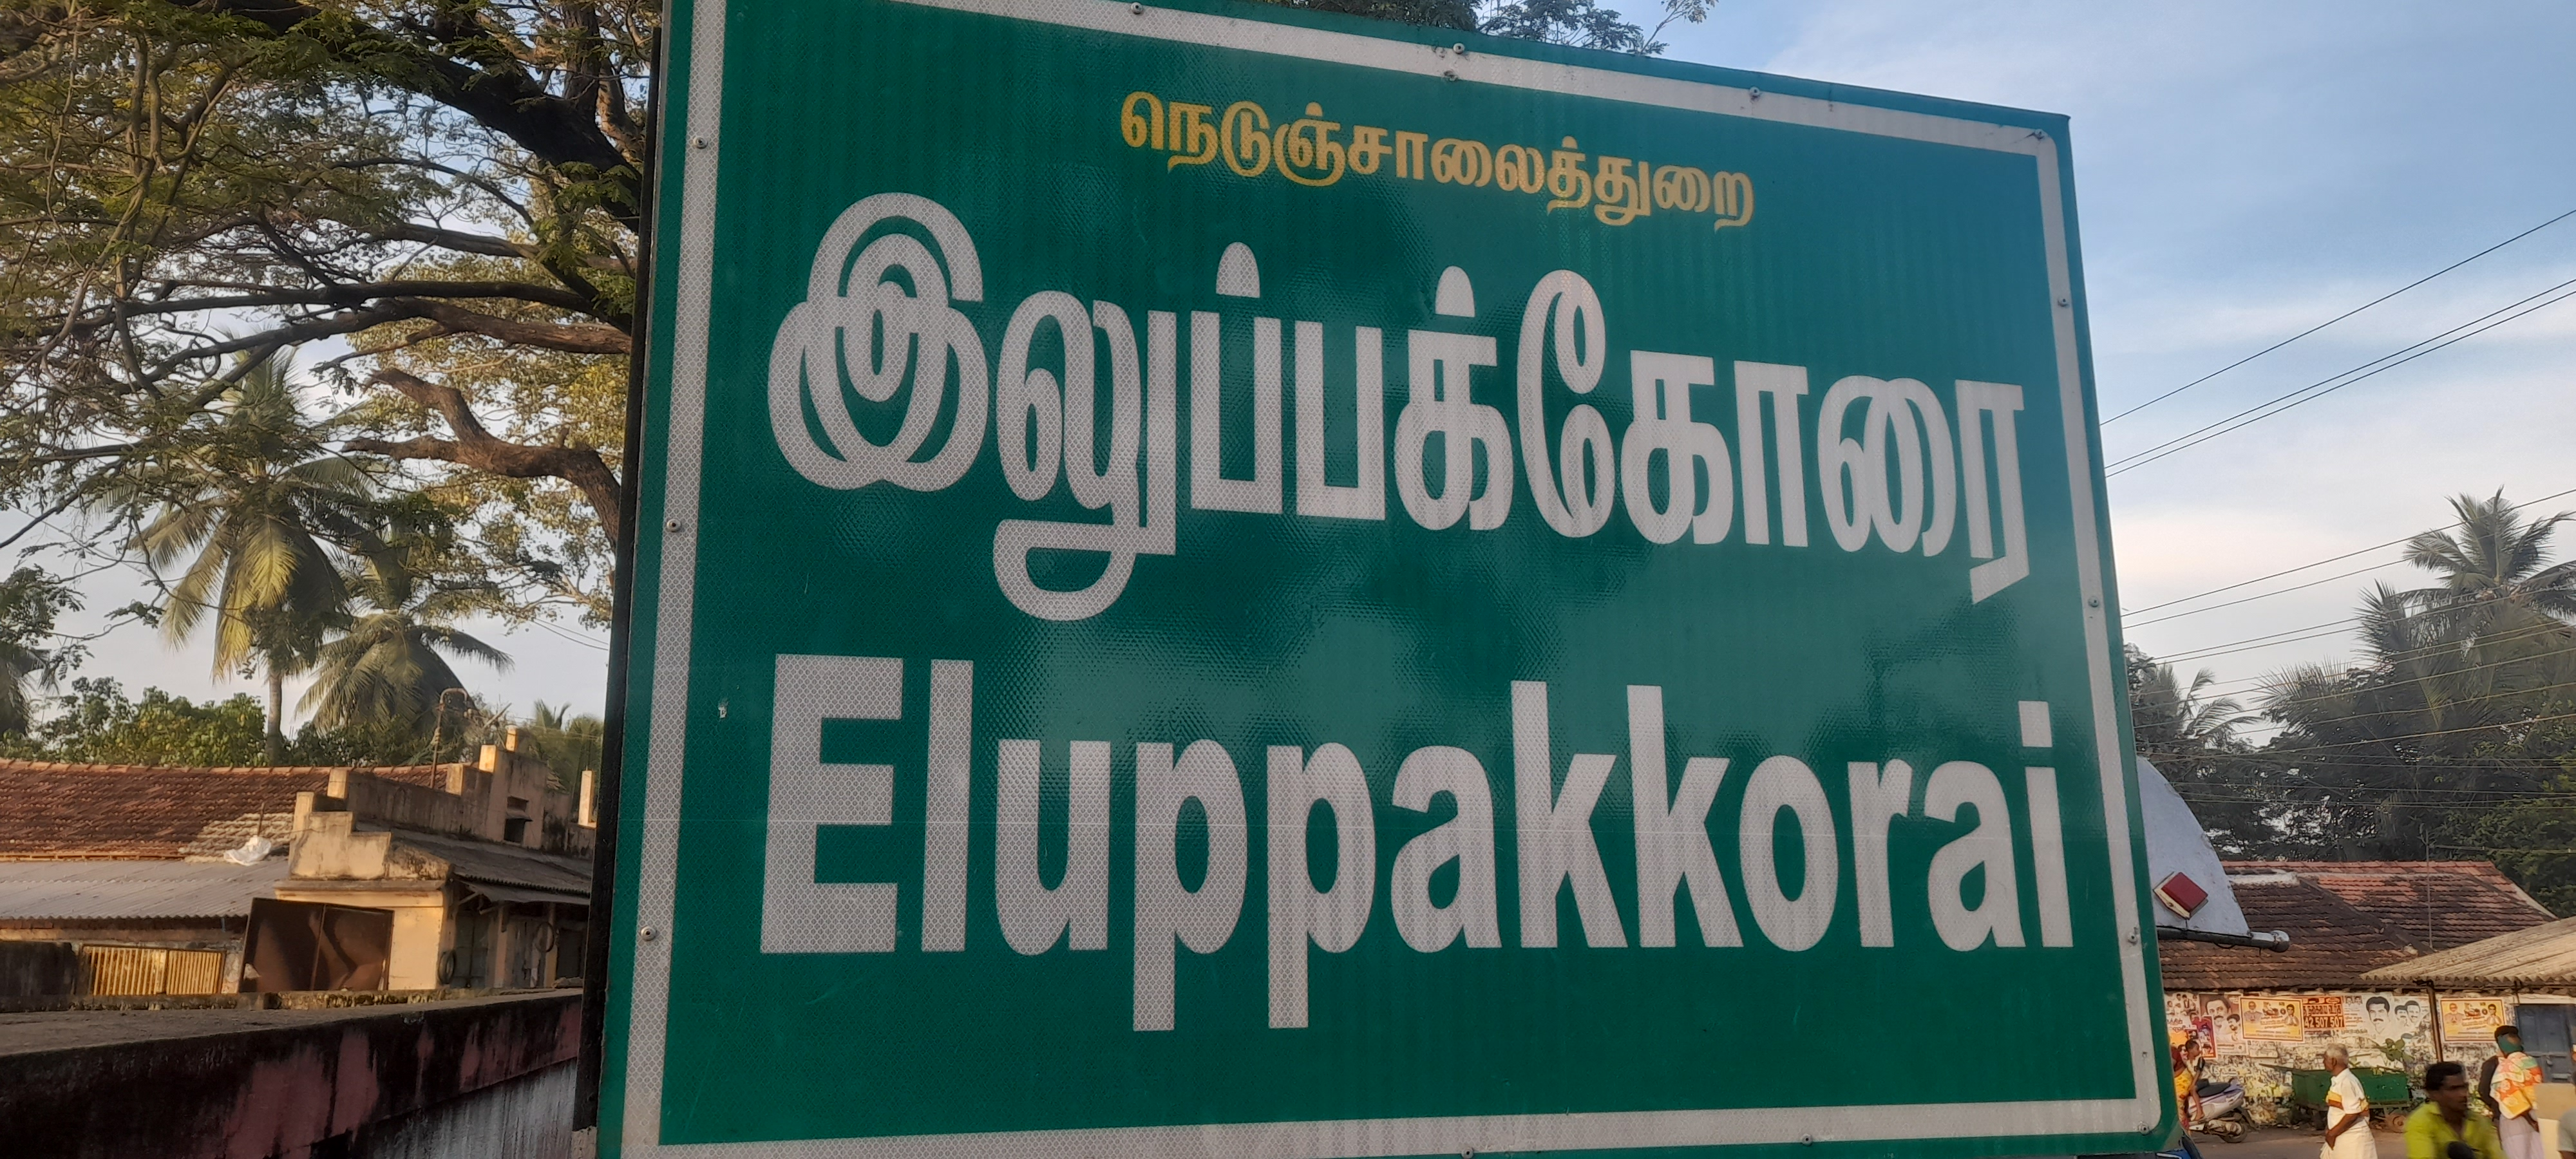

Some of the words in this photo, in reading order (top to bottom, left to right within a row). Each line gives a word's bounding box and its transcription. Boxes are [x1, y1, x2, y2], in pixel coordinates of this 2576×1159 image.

[1109, 86, 1765, 234] நெடுஞ்சாலைத்துறை
[746, 172, 2040, 630] இலுப்பக்கோலர
[752, 643, 2078, 1036] Eluppakkorai